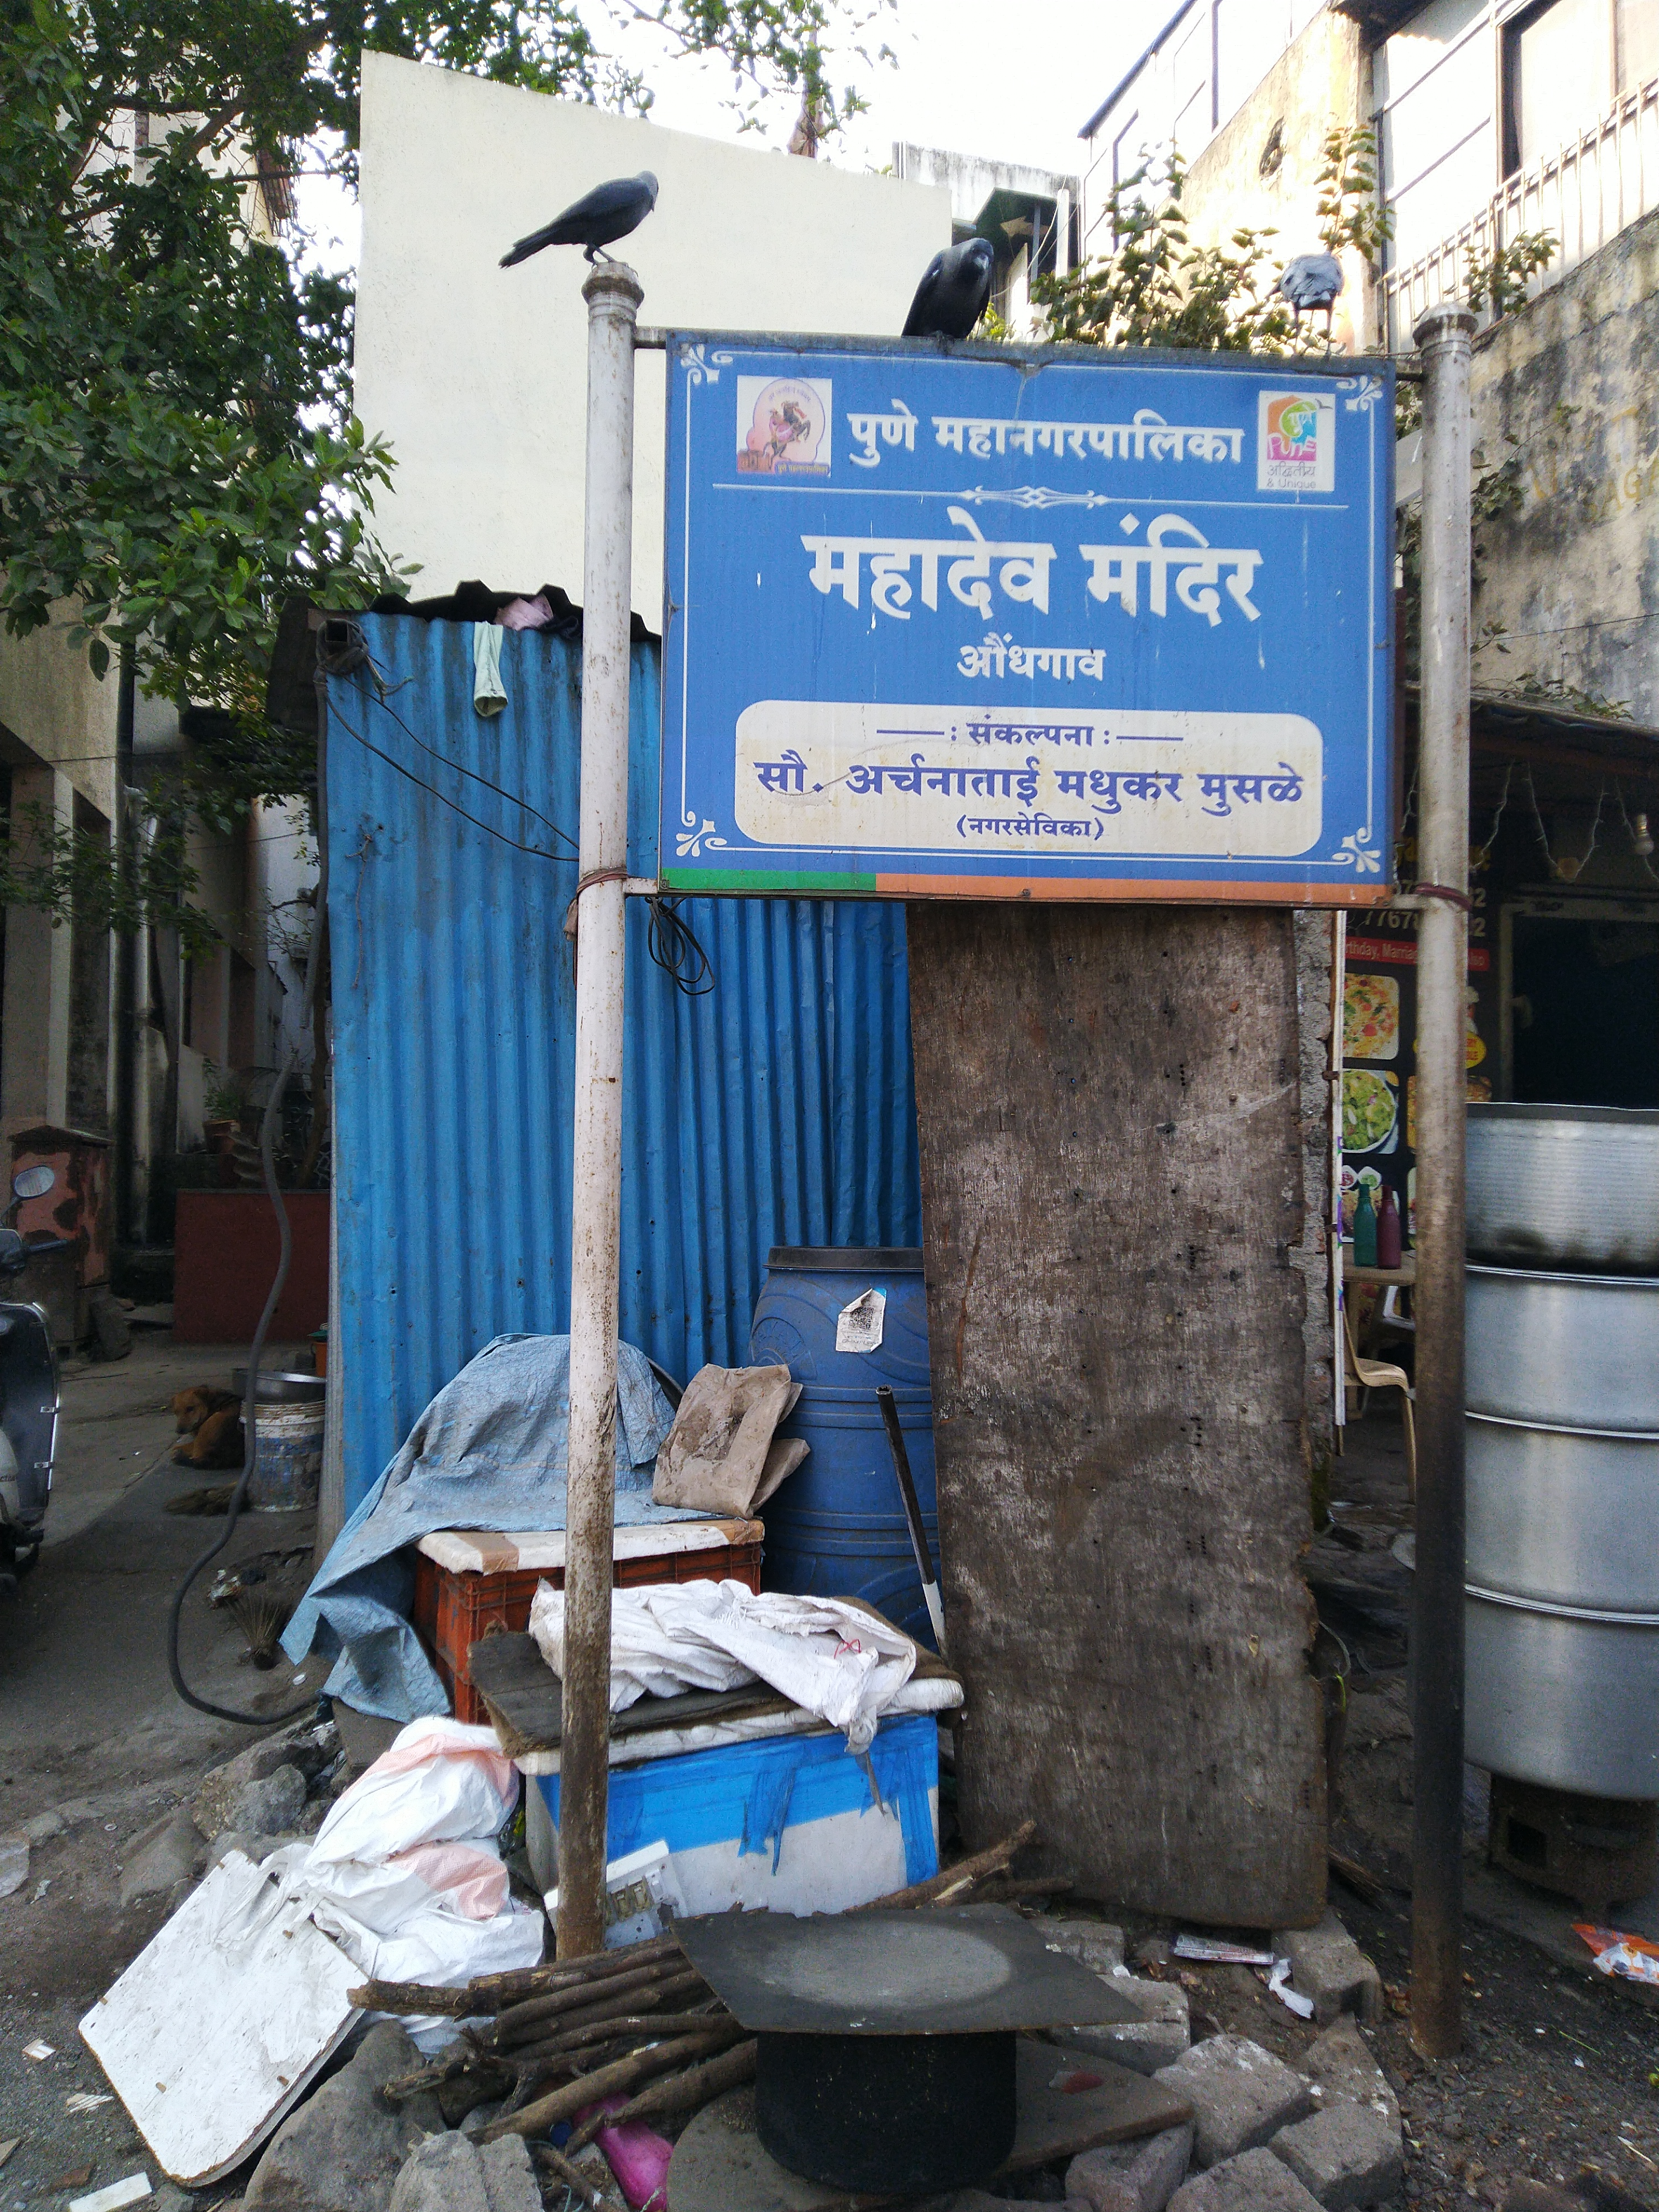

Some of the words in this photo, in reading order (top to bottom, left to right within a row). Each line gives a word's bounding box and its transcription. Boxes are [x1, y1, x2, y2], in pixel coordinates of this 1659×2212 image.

[842, 382, 930, 478] पुणे
[922, 398, 1248, 466] महानगरपालिका
[799, 497, 1064, 627] महादेव
[1073, 493, 1272, 625] मंदिर
[953, 624, 1112, 686] औंधगाव
[961, 708, 1103, 757] संकल्पना
[749, 738, 830, 802] सौ.
[843, 745, 1053, 810] अर्चनाताई
[1053, 759, 1187, 822] मधुकर
[1197, 751, 1311, 822] मुसळे
[962, 806, 1096, 843] नगरसेविका